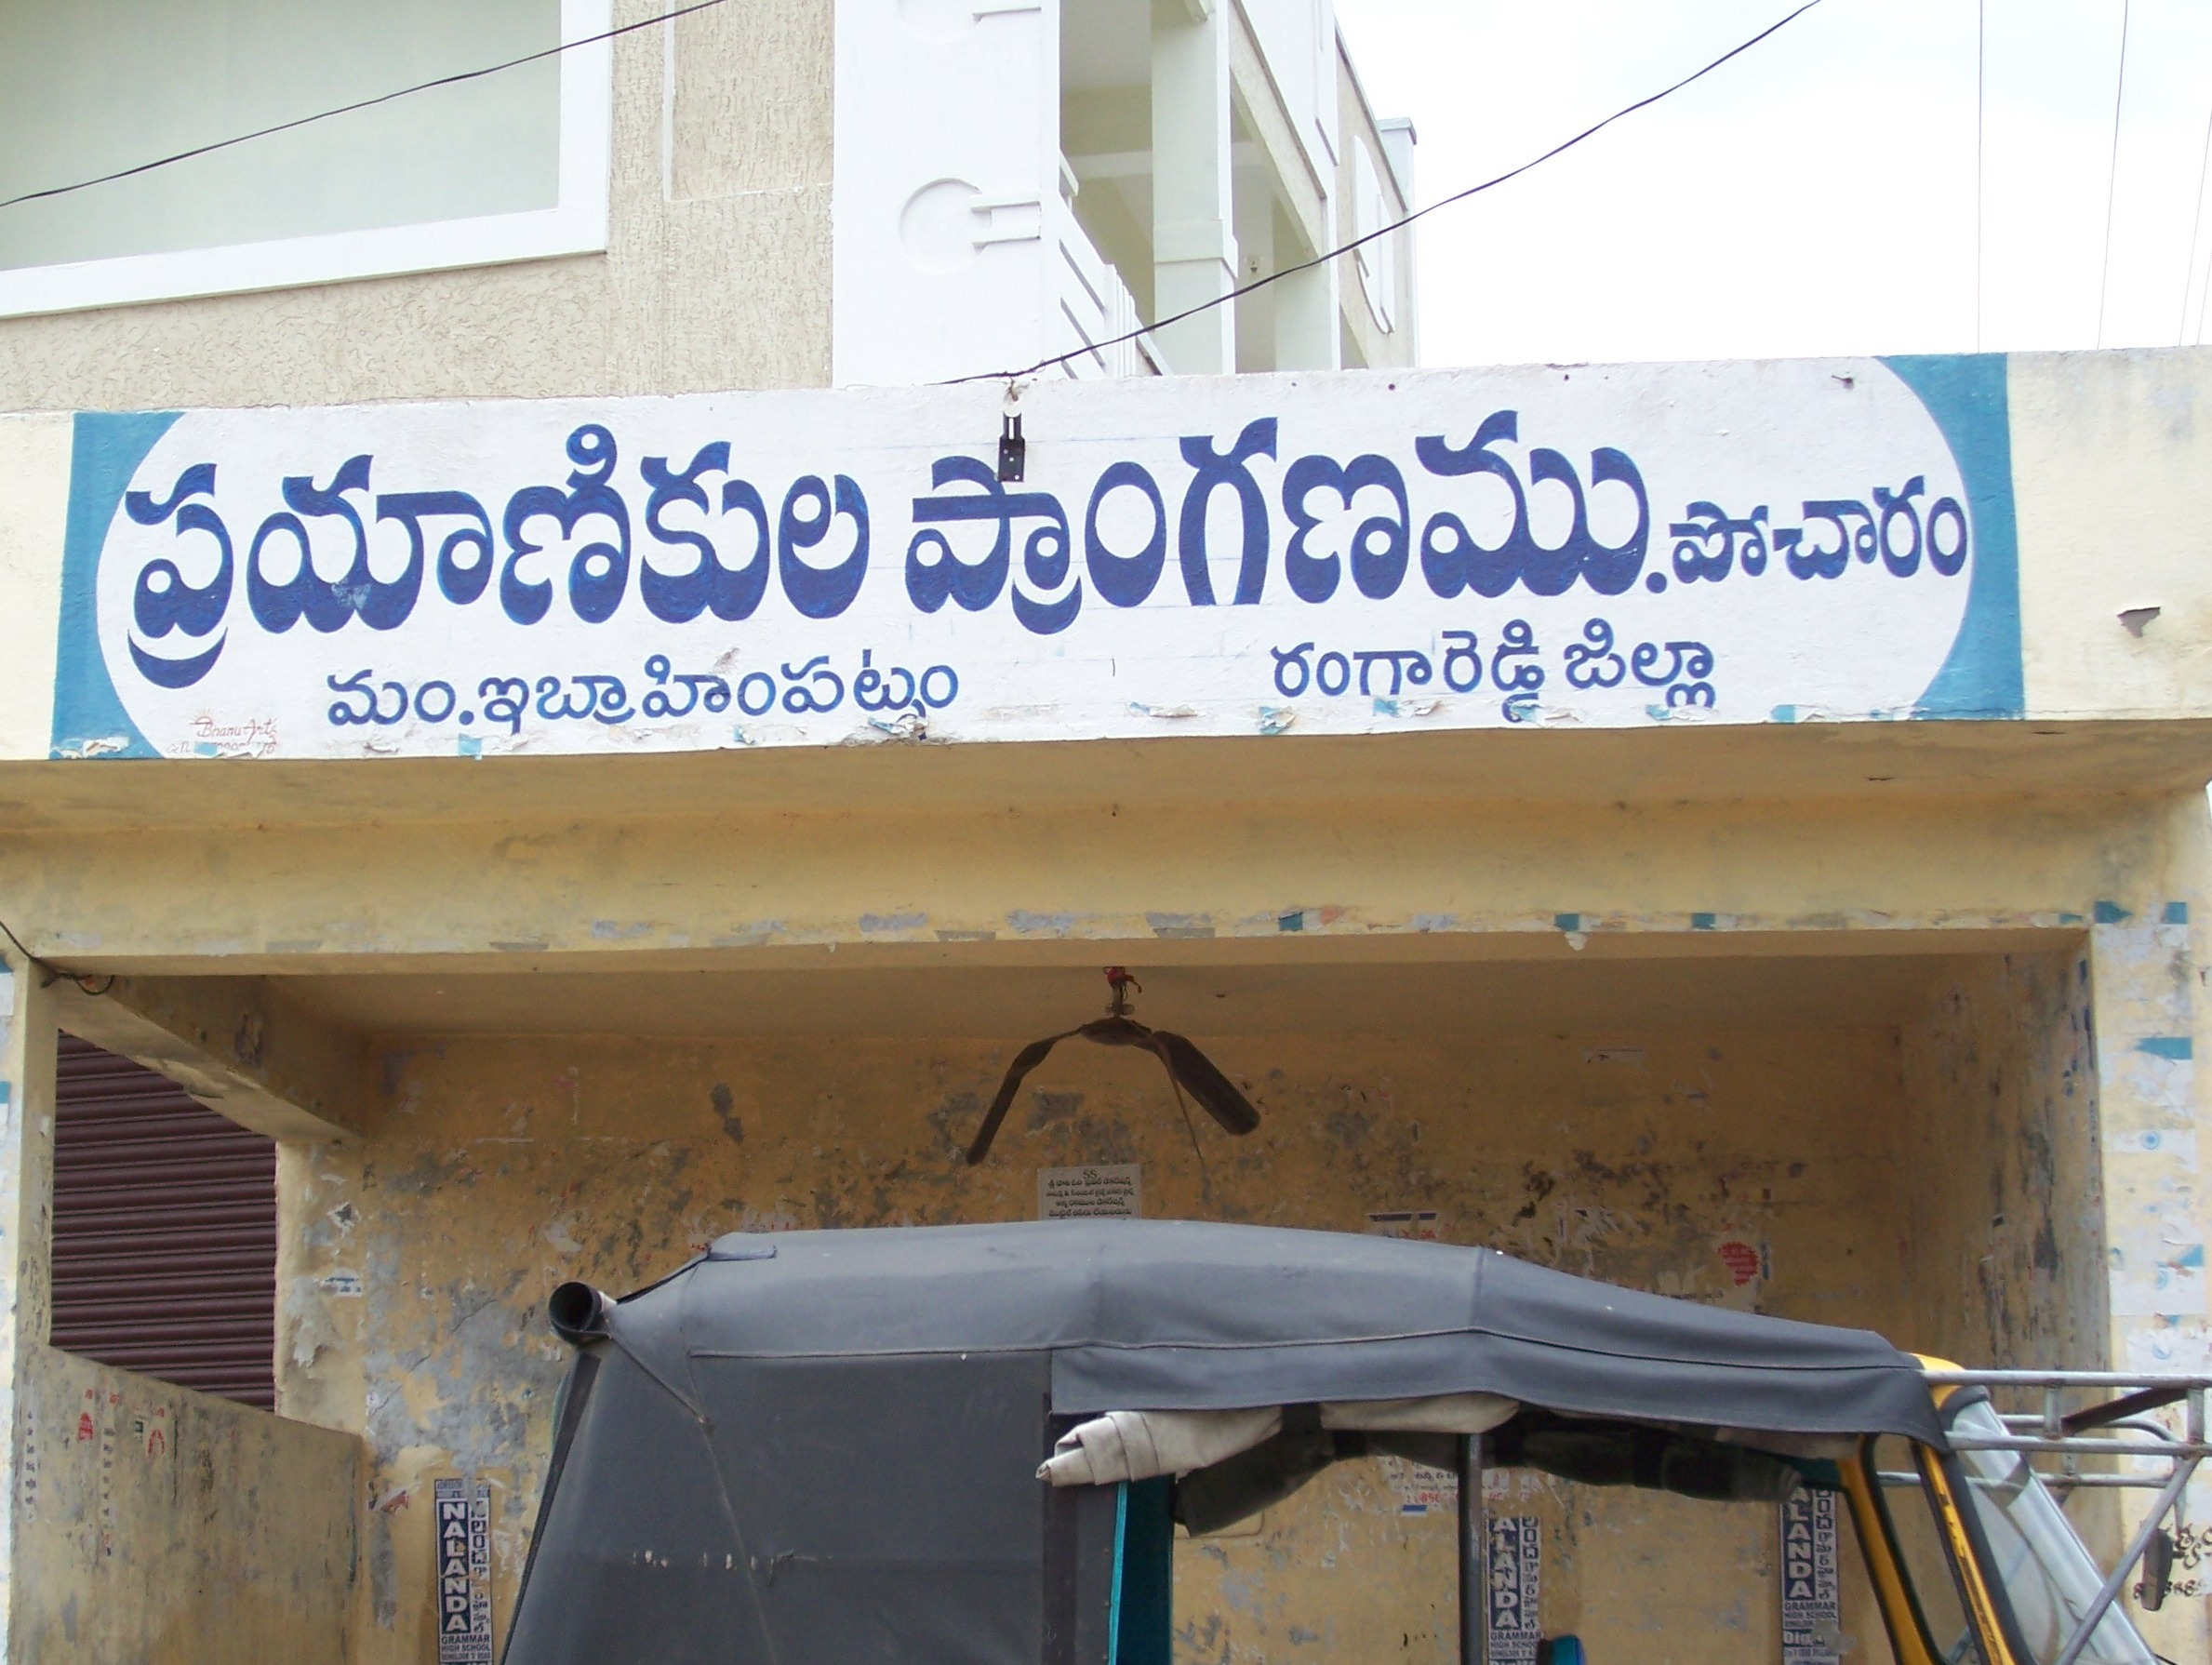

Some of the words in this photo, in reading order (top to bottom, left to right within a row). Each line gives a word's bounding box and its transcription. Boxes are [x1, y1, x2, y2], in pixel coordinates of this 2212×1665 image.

[123, 418, 876, 699] ప్రమాణికుల
[897, 400, 1675, 640] ప్రాంగణము.
[1662, 470, 1972, 595] పోచారం
[315, 647, 849, 738] మం.ఇబ్రాహింప
[840, 643, 966, 728] ట్నం
[1266, 614, 1548, 726] రంగారెడ్డి
[1554, 607, 1719, 713] జిల్లా